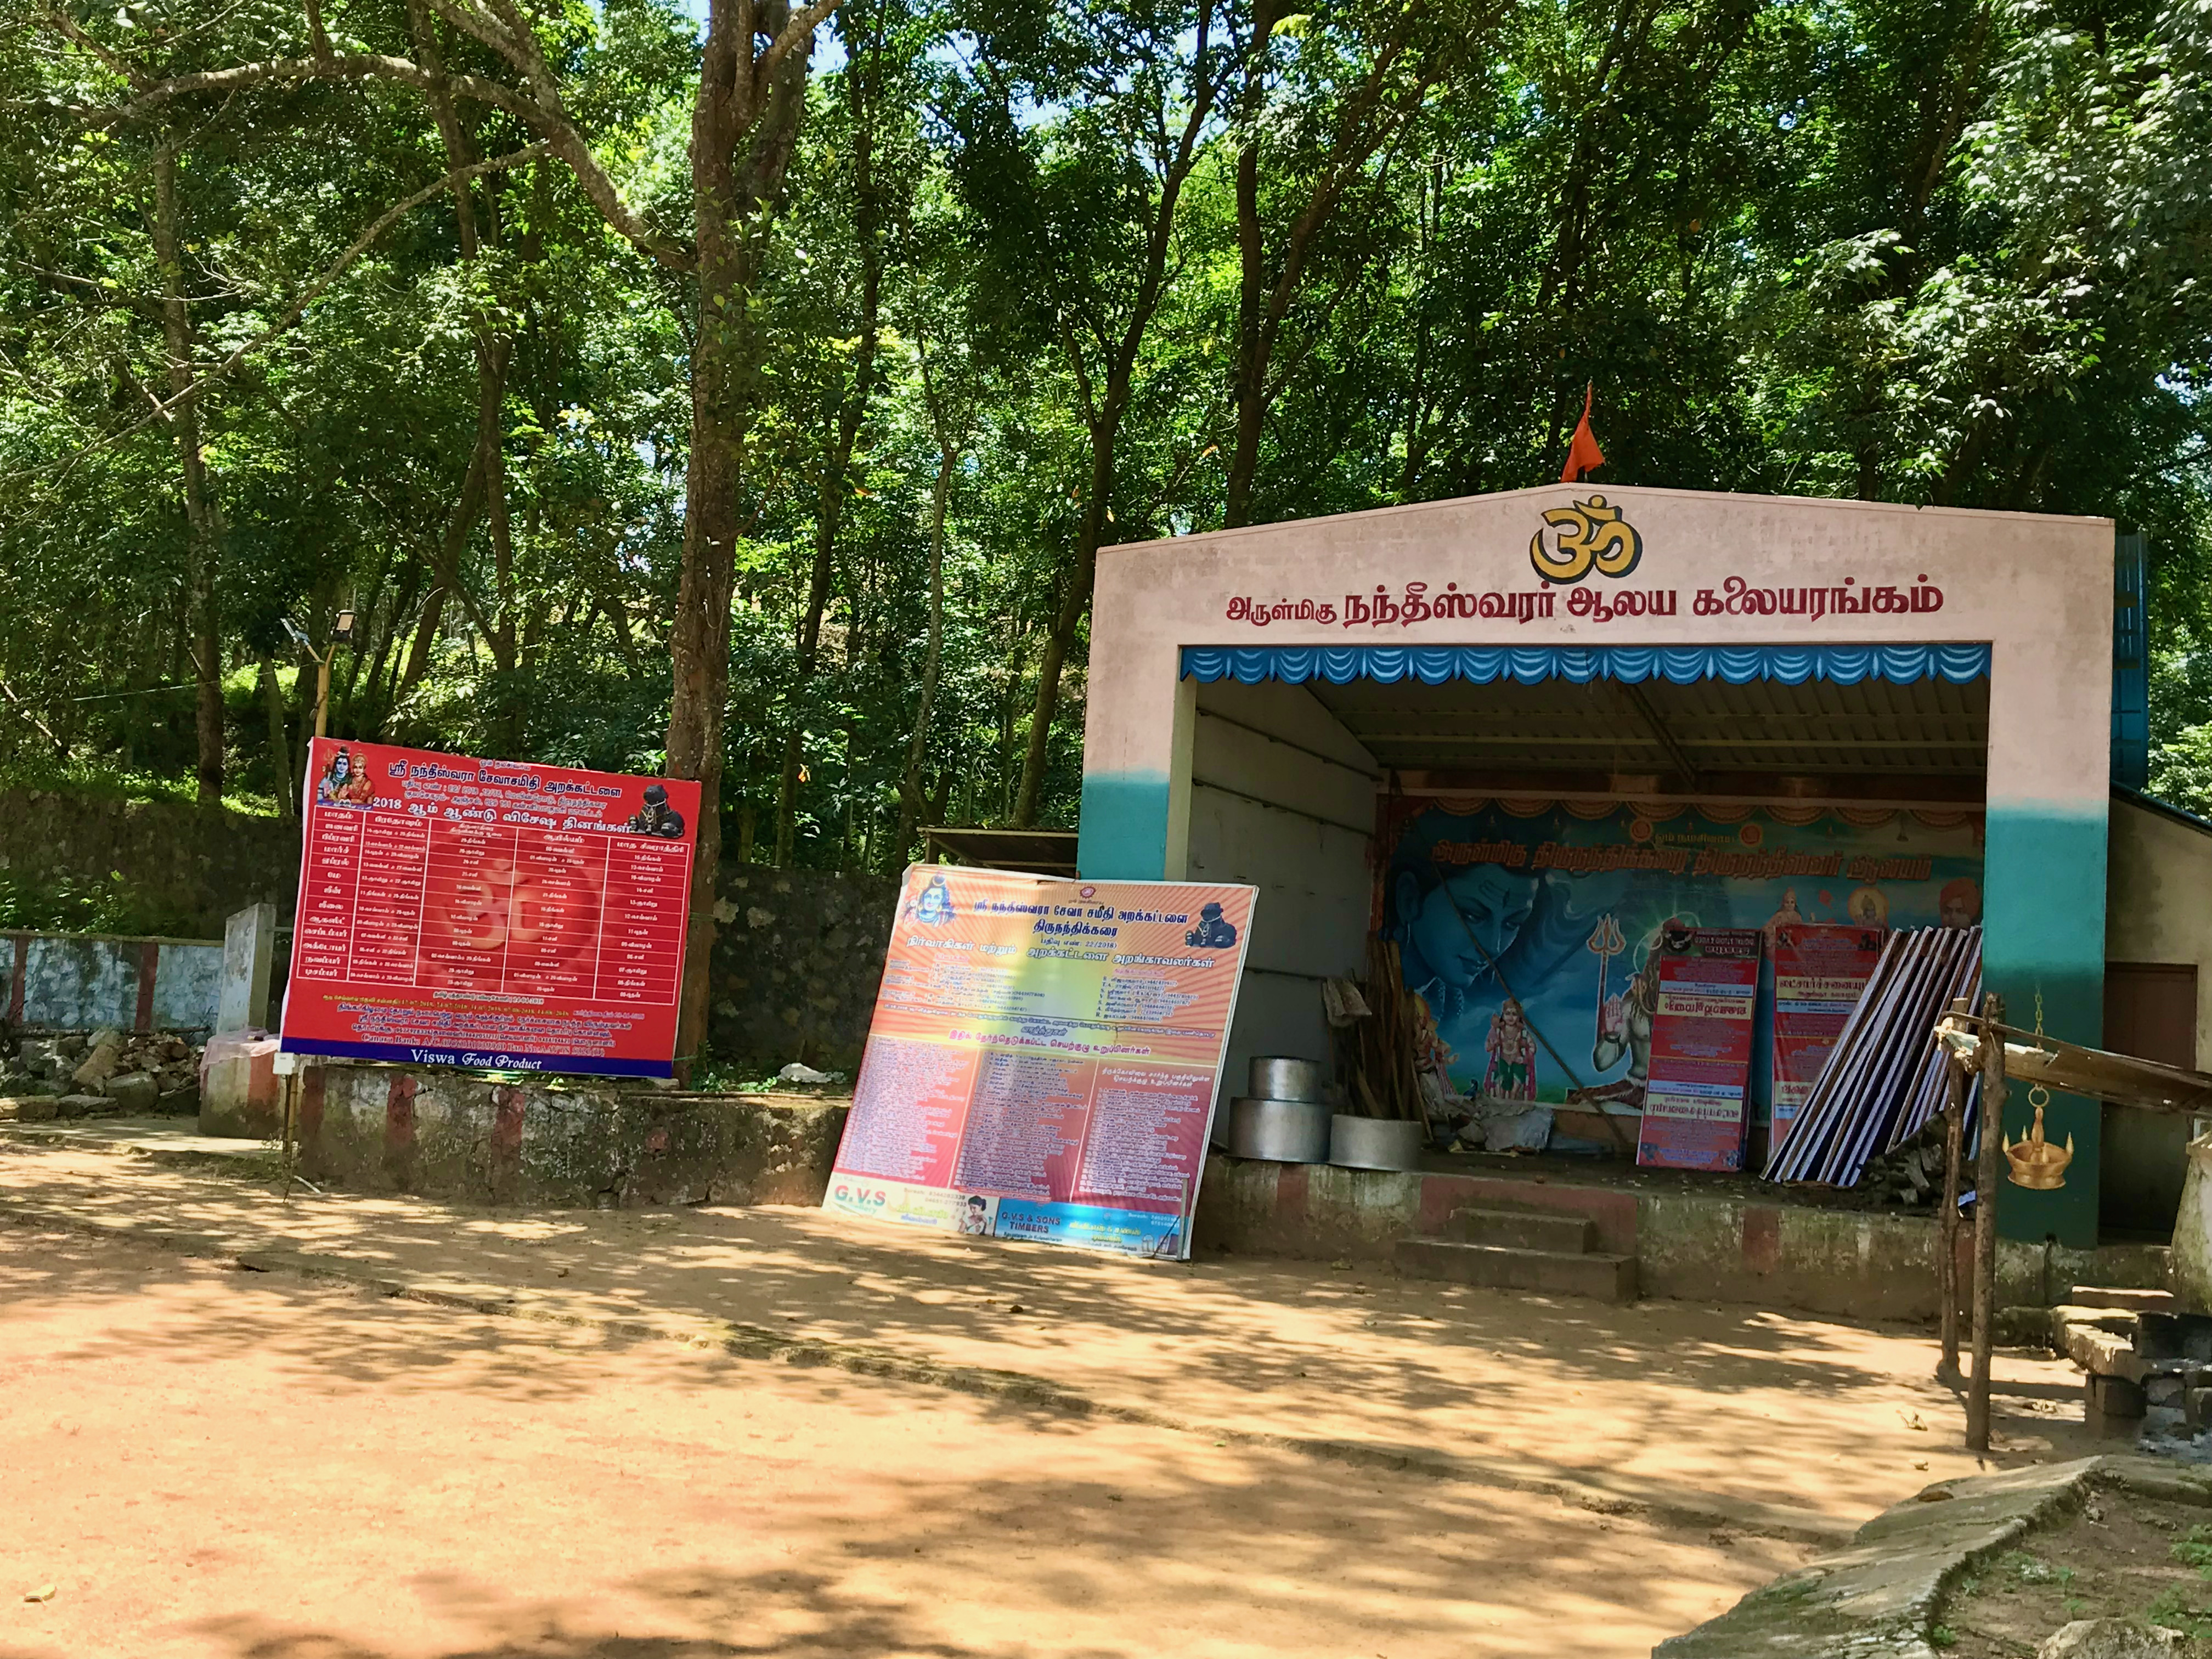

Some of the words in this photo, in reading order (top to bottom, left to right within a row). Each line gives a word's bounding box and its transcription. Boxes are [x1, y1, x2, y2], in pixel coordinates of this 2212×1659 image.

[1224, 595, 1341, 625] அ௫ள்மிகு
[1339, 575, 1558, 630] நந்தீஸ்வரா்
[1565, 583, 1679, 625] ஆலய
[1691, 569, 1946, 623] கலேயரங்கம்
[387, 758, 412, 781] ஸ்ரீ
[407, 758, 477, 783] நந்தீஸ்வரா
[473, 766, 543, 793] சேவாசமிதி
[540, 776, 624, 800] அறக்கட்டளை
[319, 854, 351, 868] ஏப்ரல்
[326, 870, 345, 883] OLD
[321, 842, 352, 855] மாா்ச்
[319, 829, 357, 845] பிப்ரவாி
[321, 808, 356, 820] மாதம்
[321, 821, 360, 836] ஜனவரி
[372, 793, 404, 811] 2018
[373, 812, 425, 830] பிாதோஷம
[406, 797, 441, 817] ஆம்
[442, 803, 498, 823] ஆண்டு
[499, 806, 557, 830] விசேஷ
[541, 830, 589, 847] ஆயில்யம்
[560, 810, 636, 834] தினங்கள்
[614, 839, 639, 852] மாத
[1430, 833, 1531, 870] அருள்மிகு
[1528, 836, 1694, 878] திருநந்திக்கனர
[1689, 842, 1848, 881] நந்தீஸ்வரர்
[1843, 850, 1933, 886] ஆலய
[302, 924, 351, 938] செப்டம்பர்
[306, 913, 348, 927] ஆகஸ்ட்
[317, 896, 347, 912] லீலை
[970, 898, 994, 914] ஸ்ரீ
[989, 898, 1053, 918] நந்தீஸ்வரா
[1051, 901, 1085, 919] சேவா
[1030, 916, 1121, 940] திருநந்திக்கரை
[1083, 902, 1118, 923] சமீதி
[1115, 905, 1191, 926] அறக்கட்டளை
[303, 953, 343, 967] நவம்பா்
[300, 938, 349, 954] அக்டோபர்
[901, 932, 978, 954] நிர்வரகிகள்
[977, 939, 1020, 958] மற்றும்
[1025, 944, 1111, 964] அறக்கட்டளை
[1083, 939, 1117, 952] 22/2018)
[1111, 950, 1217, 972] அறங்காவலா்கள்
[302, 964, 340, 979] டிசம்பர்
[410, 1047, 458, 1065] Viswa
[460, 1049, 494, 1069] Food
[493, 1052, 544, 1073] Product
[972, 1029, 1048, 1049] தேர்ந்தெடுக்கப்ட்ட
[1047, 1036, 1093, 1057] செயற்குழு
[1091, 1040, 1152, 1057] உறுப்பினர்கள்
[1101, 1065, 1148, 1077] திருக்கோயிலை
[1169, 1071, 1215, 1087] பகுதியிலுள்ள
[999, 1209, 1028, 1223] G.V.S
[1008, 1218, 1052, 1237] TIMBERS
[1032, 1211, 1065, 1229] SONS